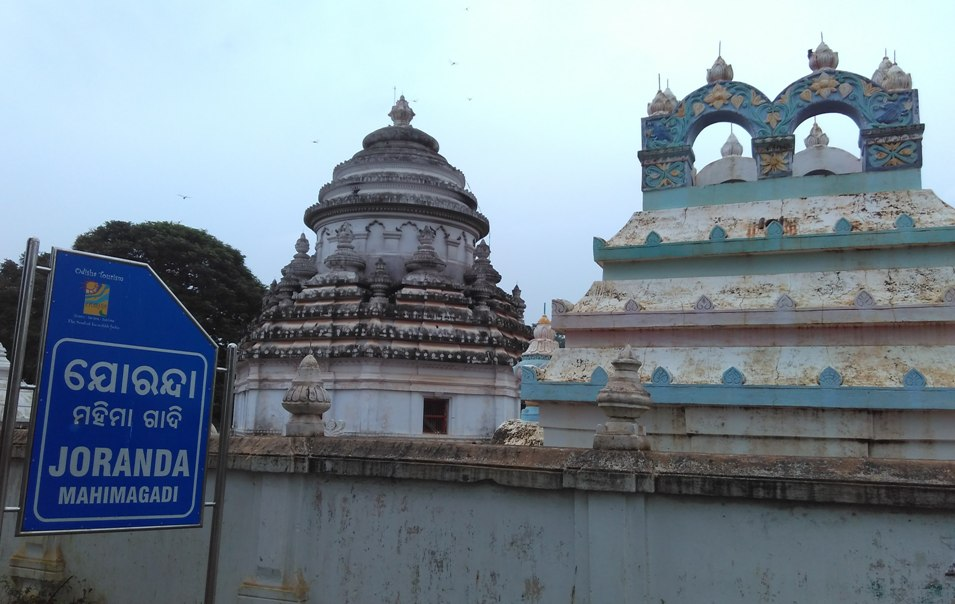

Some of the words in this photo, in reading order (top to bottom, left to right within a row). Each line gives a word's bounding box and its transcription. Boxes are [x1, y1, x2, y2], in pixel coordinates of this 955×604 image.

[60, 348, 201, 401] ଯୋରନ୍ଦା
[69, 394, 137, 429] ମହିମା
[139, 396, 188, 433] ଗାଦି
[45, 440, 195, 480] JORANDA
[55, 479, 182, 509] MAHIMAGADI